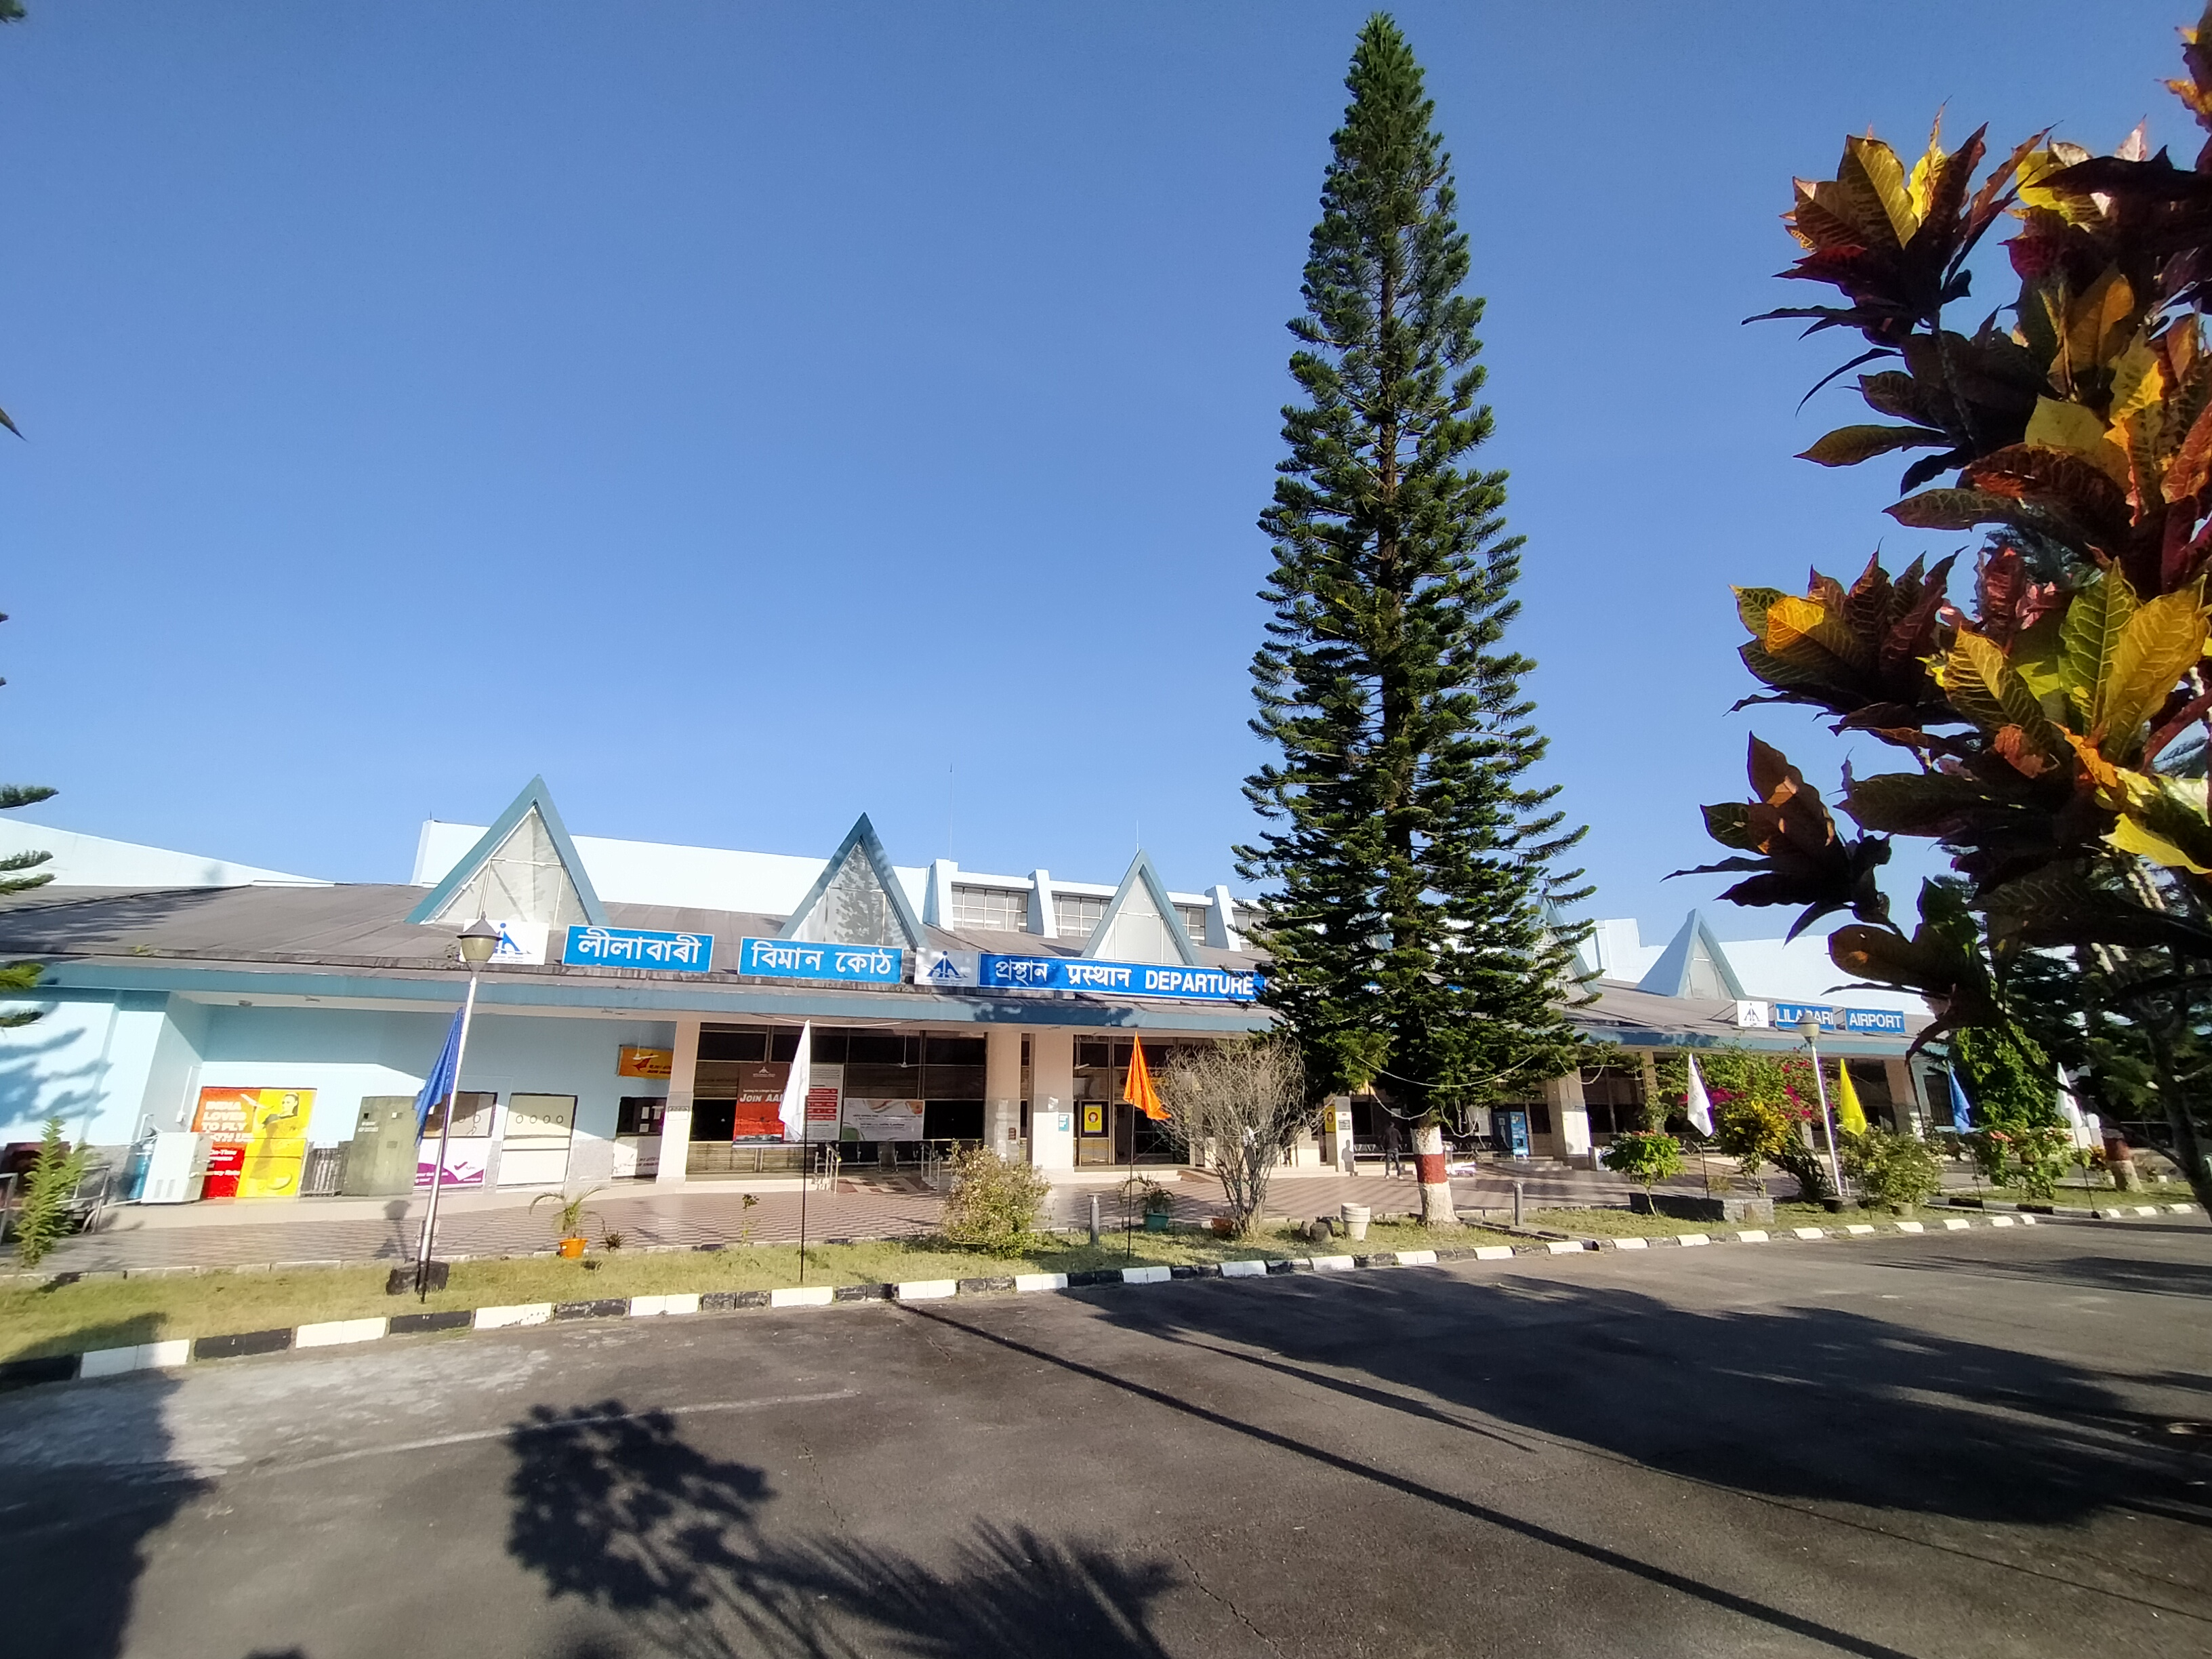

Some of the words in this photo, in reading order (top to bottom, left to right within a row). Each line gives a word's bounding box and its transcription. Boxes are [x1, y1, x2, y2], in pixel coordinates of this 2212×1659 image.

[573, 922, 706, 964] লীলাবাৰী
[743, 938, 825, 979] বিমান
[833, 945, 896, 978] কোঠ
[979, 947, 1052, 987] প্ৰস্থান
[1059, 954, 1132, 994] प्रस्थान
[1142, 967, 1257, 998] DEPARTURE